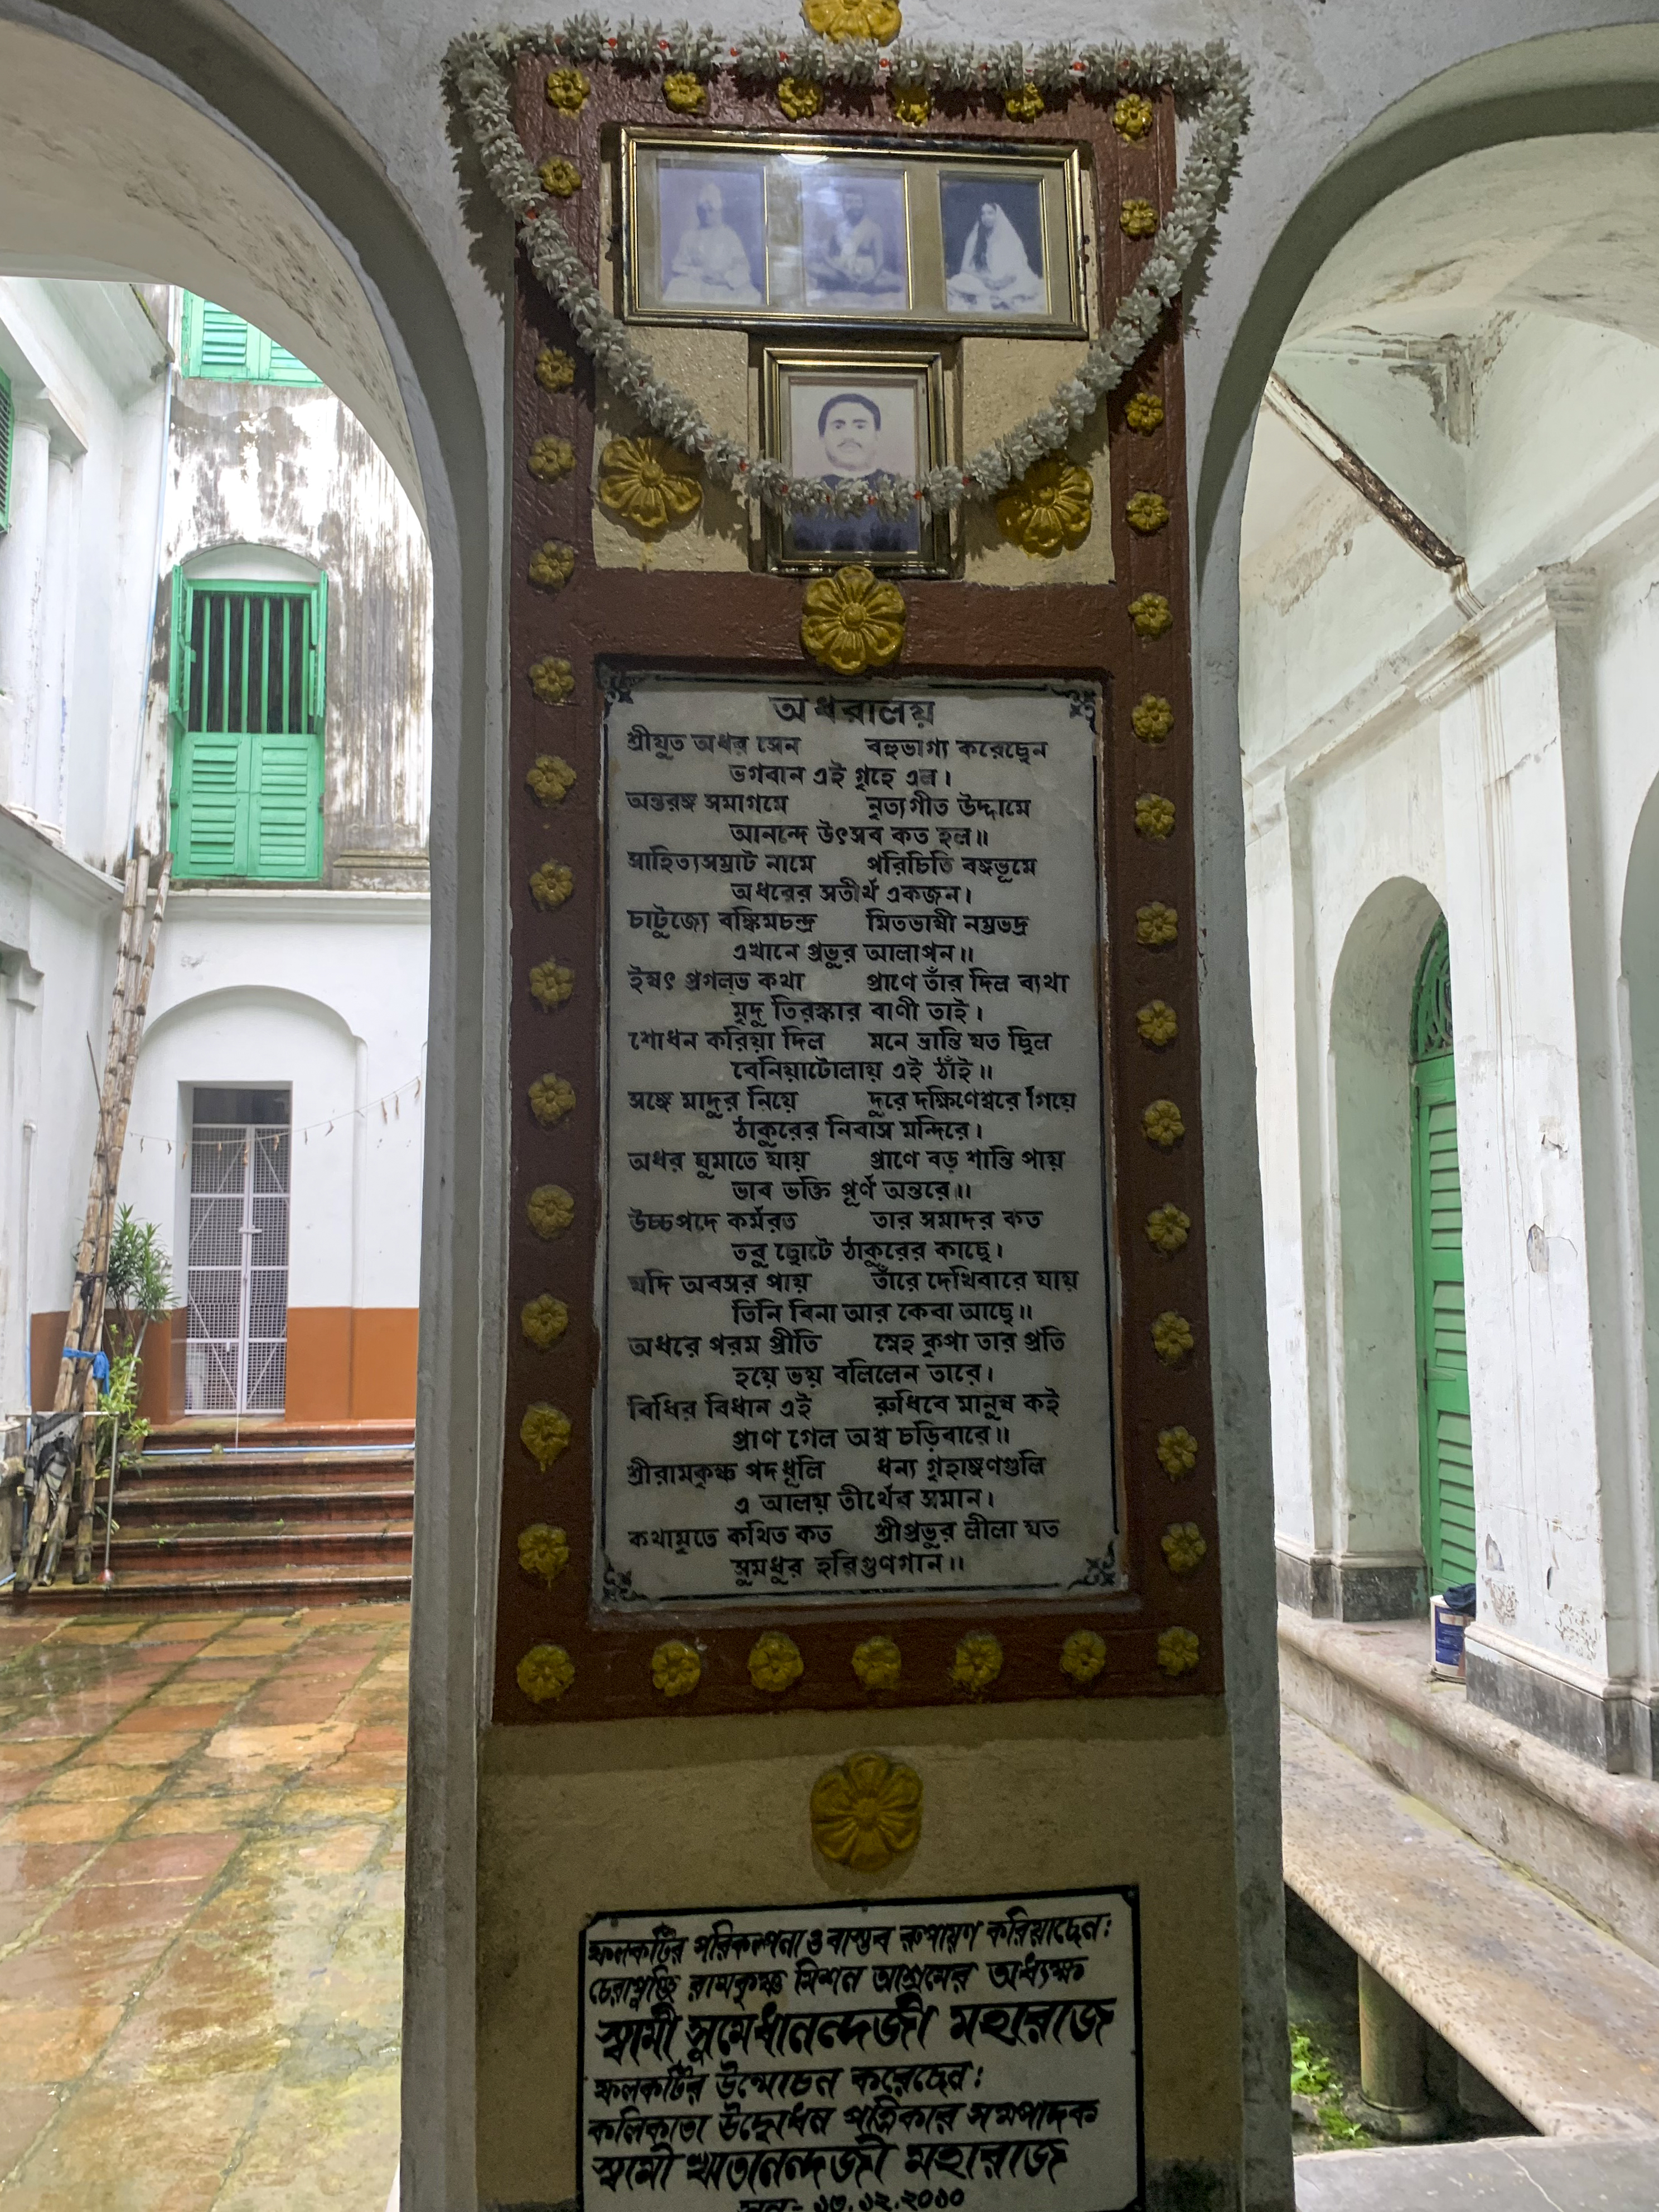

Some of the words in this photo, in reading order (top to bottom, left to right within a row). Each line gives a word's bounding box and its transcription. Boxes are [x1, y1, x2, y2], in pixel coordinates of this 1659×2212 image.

[767, 684, 940, 735] অধরালয়
[615, 715, 691, 765] শ্রীযুত
[685, 727, 752, 760] অধর
[751, 727, 807, 760] অেন
[860, 735, 955, 763] বহুভাগ্য
[951, 733, 1053, 768] করেছেন
[726, 760, 810, 788] ভগবান
[807, 753, 899, 793] এই গৃহে
[901, 756, 953, 791] এল।
[620, 784, 704, 815] অন্তরঙ্গ
[702, 788, 795, 816] সমাগমে
[860, 787, 955, 824] নৃত্যগীত
[948, 790, 1034, 825] উদ্দামে
[622, 837, 764, 876] সাহিত্যসম্রাট
[724, 816, 809, 847] আনন্দে
[727, 875, 818, 908] অধরের
[761, 848, 820, 876] নামে
[809, 870, 881, 907] অতীর্য
[807, 812, 893, 848] উৎসব
[862, 844, 961, 879] পরিচিতি
[878, 879, 965, 911] একজন
[888, 820, 976, 856] কত় হল
[962, 853, 1041, 887] বঙ্গভূমে
[620, 895, 712, 943] চাটুজো
[713, 899, 824, 934] বঙ্কিমচন্দ্র
[857, 902, 959, 936] মিতভাষী
[959, 911, 1031, 940] নম্রভদ্র
[726, 936, 802, 968] এখানে
[803, 935, 860, 978] প্রভুর
[857, 934, 974, 970] আলাগন ॥
[622, 961, 679, 994] ইষৎ
[676, 963, 753, 998] থ্রগল্ভ
[752, 963, 809, 995] কথা
[859, 963, 920, 1001] প্র৷ণে
[912, 959, 968, 994] তাঁর
[954, 955, 1013, 997] দিল
[1014, 965, 1071, 999] ব্যথা
[725, 992, 775, 1032] মৃদু
[766, 985, 867, 1026] তিরস্কার
[865, 989, 921, 1026] বাণী
[922, 991, 973, 1027] তাই
[626, 1022, 702, 1056] শোধন
[698, 1021, 780, 1057] করিয়া
[772, 1016, 836, 1055] দিল
[857, 1019, 915, 1064] মনে
[910, 1020, 966, 1052] ভ্রান্তি
[969, 1026, 1007, 1057] যত
[998, 1014, 1058, 1056] ছিল
[724, 1047, 886, 1084] বেনিয়াটোলায়
[881, 1050, 926, 1088] এই
[926, 1052, 997, 1086] ঠাঁই॥
[621, 1084, 674, 1114] সঙ্গে
[678, 1085, 743, 1121] মাদুর
[738, 1077, 803, 1120] নিয়ে
[863, 1086, 909, 1123] দুরে
[905, 1079, 1024, 1114] দক্ষিণেশ্বরে
[1020, 1077, 1081, 1123] গিয়ে
[725, 1106, 825, 1151] ঠাকুরের
[816, 1104, 898, 1143] নিবাস
[888, 1113, 978, 1146] মন্দিরে
[622, 1141, 690, 1175] অধর
[686, 1145, 763, 1182] ঘুমাতে
[757, 1142, 818, 1180] যায়
[864, 1139, 922, 1178] আণে
[922, 1146, 965, 1177] বড়
[958, 1142, 1014, 1175] শান্তি
[1012, 1139, 1071, 1175] পায়
[726, 1171, 775, 1204] ভাৰ
[771, 1165, 835, 1206] ভক্তি
[838, 1166, 885, 1214] পূর্ণ
[874, 1173, 976, 1204] অন্তরে ৷৷
[618, 1199, 718, 1244] উচ্চপদে
[721, 1204, 805, 1235] কর্মরত
[861, 1202, 917, 1238] তার
[913, 1204, 997, 1235] সমাদর
[993, 1201, 1046, 1236] কত
[729, 1235, 776, 1269] তবু
[767, 1230, 841, 1274] ছোটে
[836, 1229, 928, 1272] ঠাকুরের
[928, 1235, 1005, 1269] কাছে ৷
[618, 1258, 681, 1301] যদি
[673, 1264, 762, 1301] অবসর
[760, 1267, 818, 1296] পায়
[865, 1254, 921, 1296] তাঁরে
[917, 1254, 1034, 1297] দেখিবারে
[1033, 1263, 1084, 1298] যায়
[725, 1289, 785, 1328] তিনি
[773, 1288, 845, 1321] বিনা
[841, 1299, 892, 1332] আর
[895, 1292, 960, 1326] কেবা
[955, 1293, 1022, 1326] আছে
[627, 1327, 707, 1365] অধরে
[703, 1329, 764, 1360] পরম
[766, 1325, 827, 1360] প্রীতি
[872, 1326, 922, 1360] স্নেহ
[915, 1323, 973, 1360] কৃপা
[968, 1324, 1023, 1360] ডার
[1018, 1319, 1072, 1358] প্রতি
[731, 1356, 783, 1396] হয়ে
[775, 1356, 832, 1394] ভয়
[825, 1354, 920, 1389] বলিলেন
[918, 1360, 986, 1391] তারে
[622, 1384, 701, 1426] বিধির
[699, 1381, 772, 1424] বিধান
[773, 1387, 823, 1423] এই
[865, 1383, 954, 1418] রুধিবে
[950, 1378, 1017, 1424] মানুষ
[1017, 1378, 1070, 1419] কই
[725, 1422, 840, 1455] প্রাণ গেল
[841, 1416, 898, 1455] অশ্ব
[890, 1411, 995, 1460] চড়িবারে
[618, 1447, 742, 1493] শ্রীরামকৃন্ধ
[734, 1448, 832, 1495] পদ ধূলি
[870, 1450, 920, 1487] ধন্য
[920, 1445, 1053, 1488] গৃহাঙ্গন গুলি
[726, 1485, 830, 1519] এ আলয়
[830, 1472, 917, 1516] তীর্থের
[915, 1483, 997, 1514] অমান৷
[627, 1523, 719, 1554] কথামৃতে
[724, 1519, 796, 1550] কথিত
[784, 1508, 833, 1548] কত
[870, 1514, 960, 1548] শ্রীপ্রভুর
[953, 1502, 1020, 1546] লীলা
[1014, 1514, 1064, 1545] মত
[725, 1551, 810, 1590] সুমধুর
[811, 1542, 947, 1582] হরিগুণগান
[587, 1915, 688, 1969] ফলকটির
[689, 1907, 815, 1965] পরিকল্পনা
[799, 1916, 902, 1959] ও বাস্তব
[893, 1918, 984, 1959] রুপায়ণ
[981, 1897, 1117, 1952] করিয়াছেন:
[589, 1960, 689, 2013] চেরাপুঞ্জি
[682, 1965, 791, 2010] রামকৃষ্ণ
[785, 1947, 872, 2001] মিশন
[869, 1955, 983, 2002] আশ্রমের
[981, 1945, 1094, 1998] অধ্যক্ষ
[588, 1993, 688, 2083] স্বামী
[685, 1984, 946, 2071] সুমেধান্দজী
[942, 1991, 1120, 2051] মহরেজে
[586, 2062, 712, 2110] ফলকর্টির
[705, 2049, 846, 2104] উন্মোচন
[846, 2058, 980, 2103] করেছেন
[584, 2099, 717, 2152] কলিকাতা
[713, 2095, 842, 2153] উদ্বোধন
[840, 2090, 969, 2145] পত্রিকার
[965, 2093, 1107, 2134] সমপাদক
[591, 2137, 688, 2201] স্বামী
[685, 2128, 898, 2198] খতেনন্দজী
[902, 2131, 1070, 2185] মহারাজ